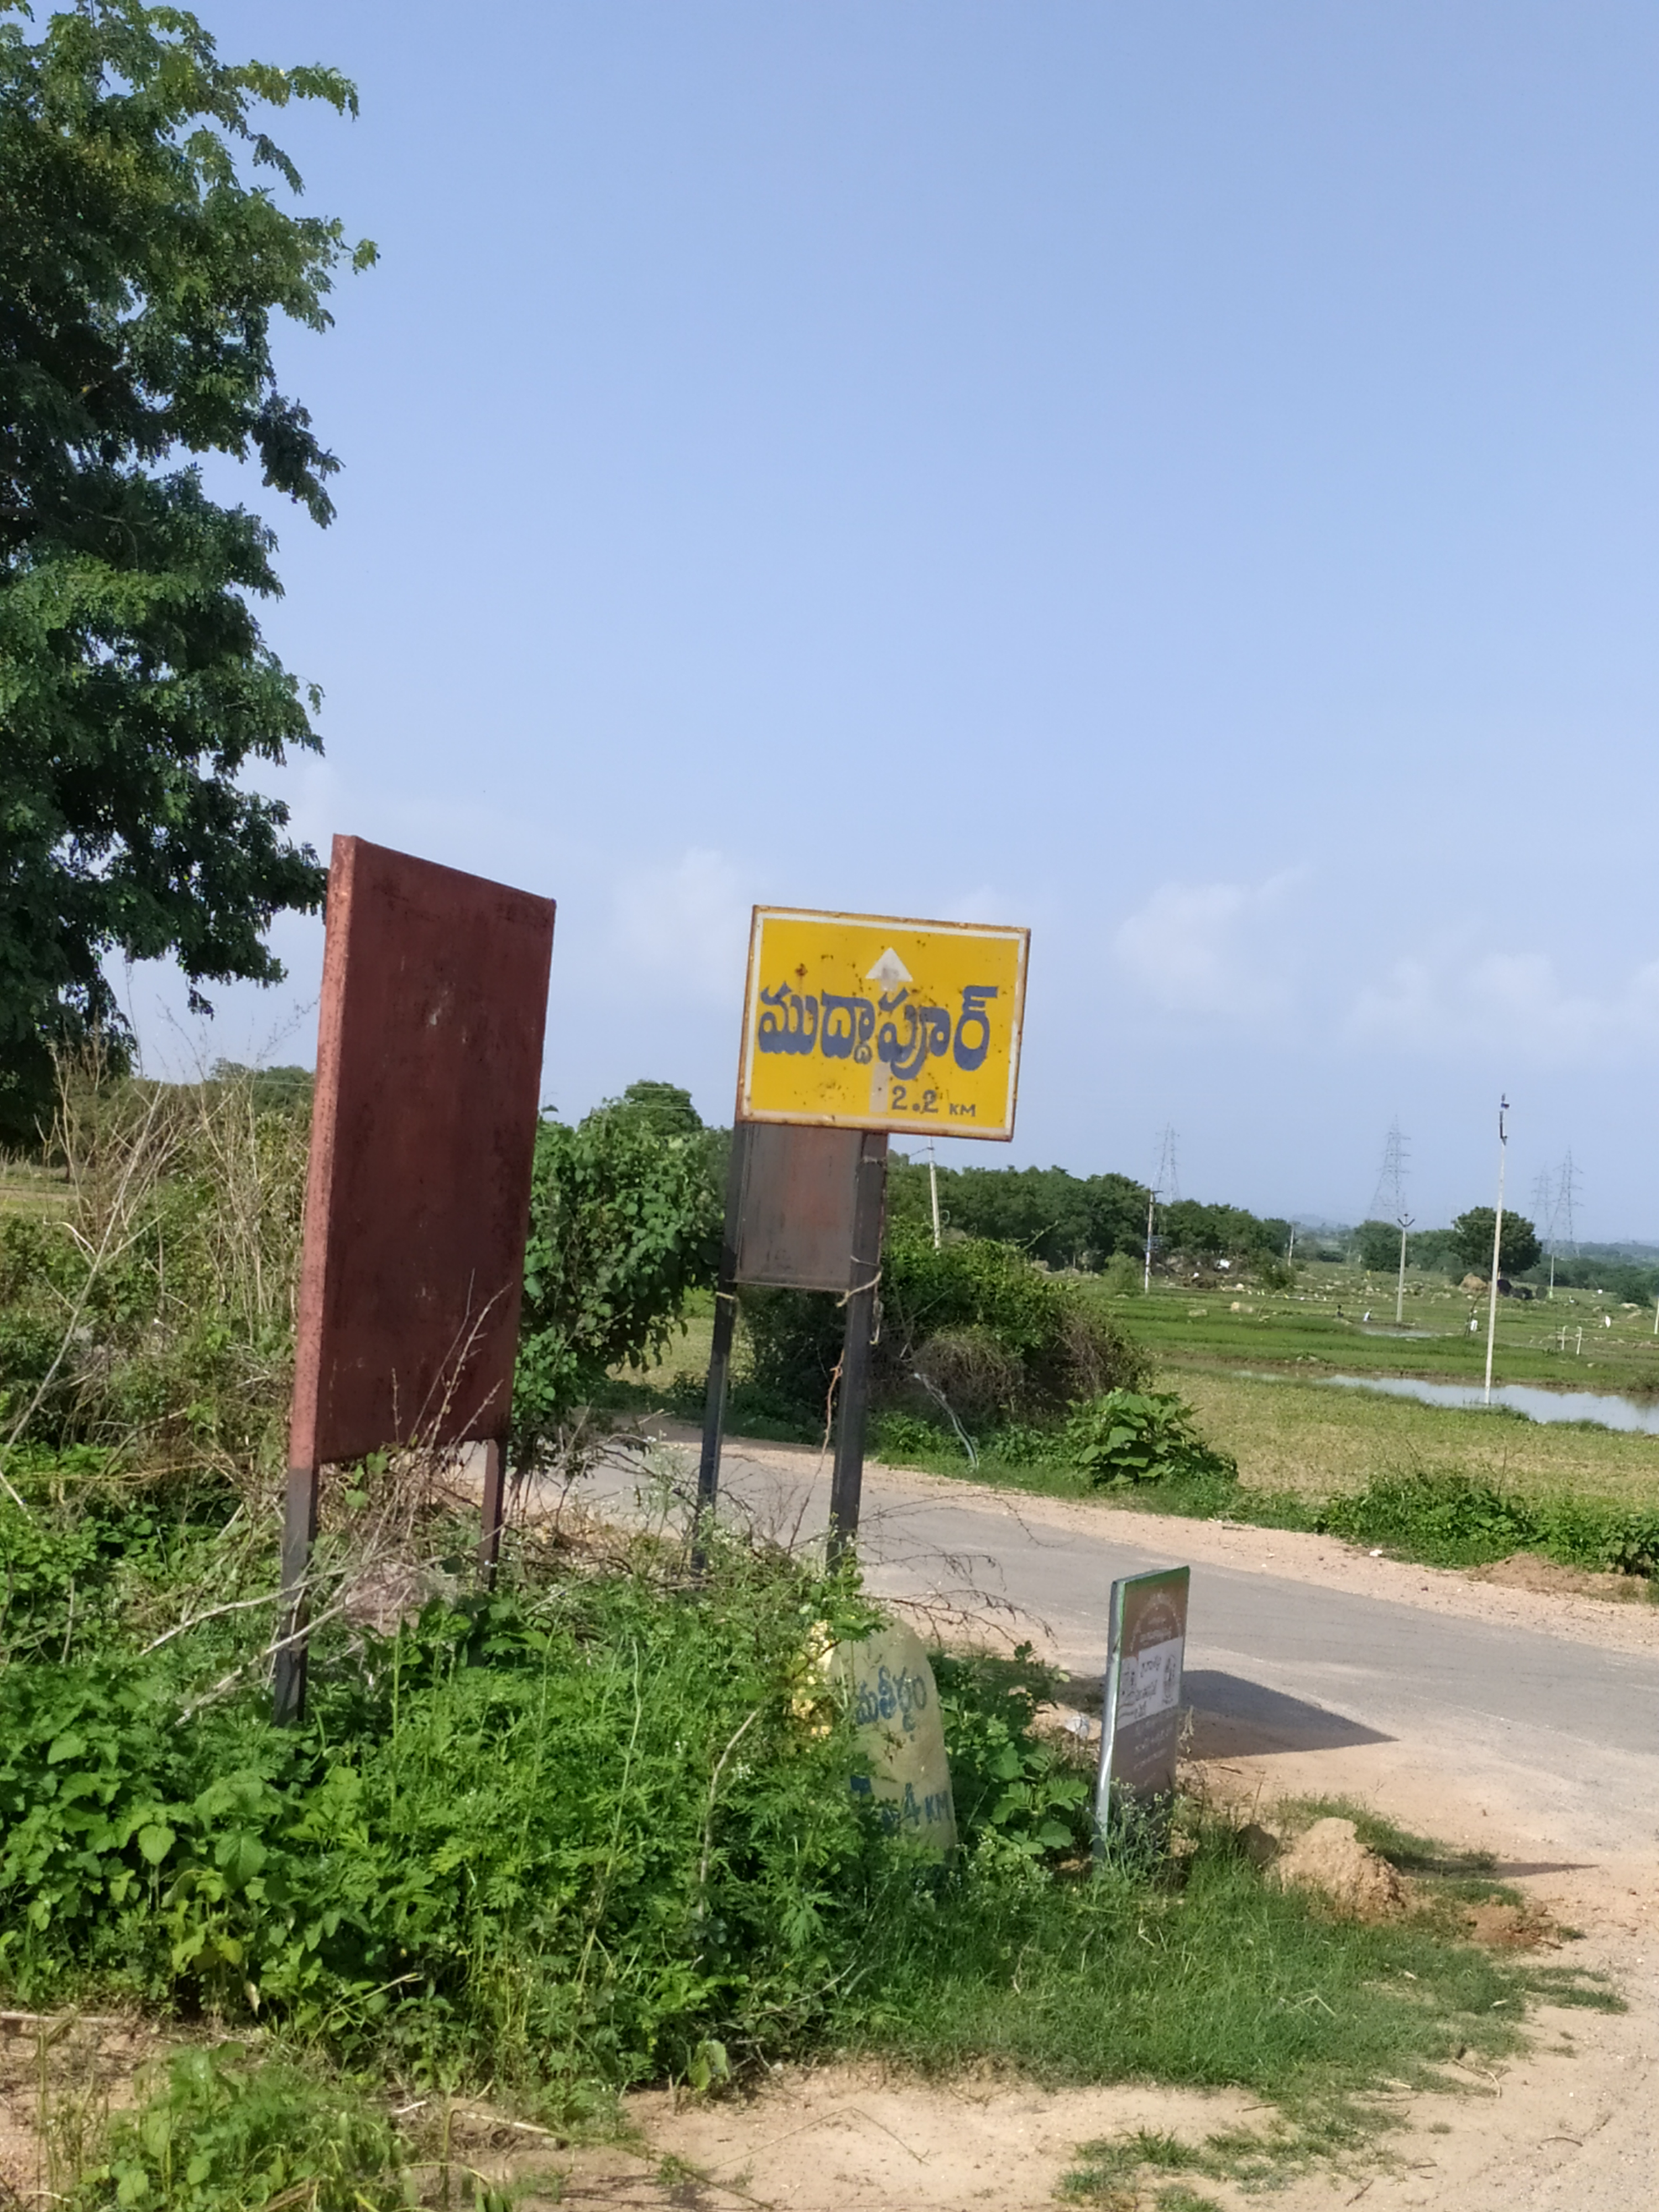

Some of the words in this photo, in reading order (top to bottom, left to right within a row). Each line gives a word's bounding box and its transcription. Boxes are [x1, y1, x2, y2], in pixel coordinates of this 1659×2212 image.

[750, 975, 1014, 1087] ముద్దాపూర్
[887, 1081, 981, 1124] 2.2KM